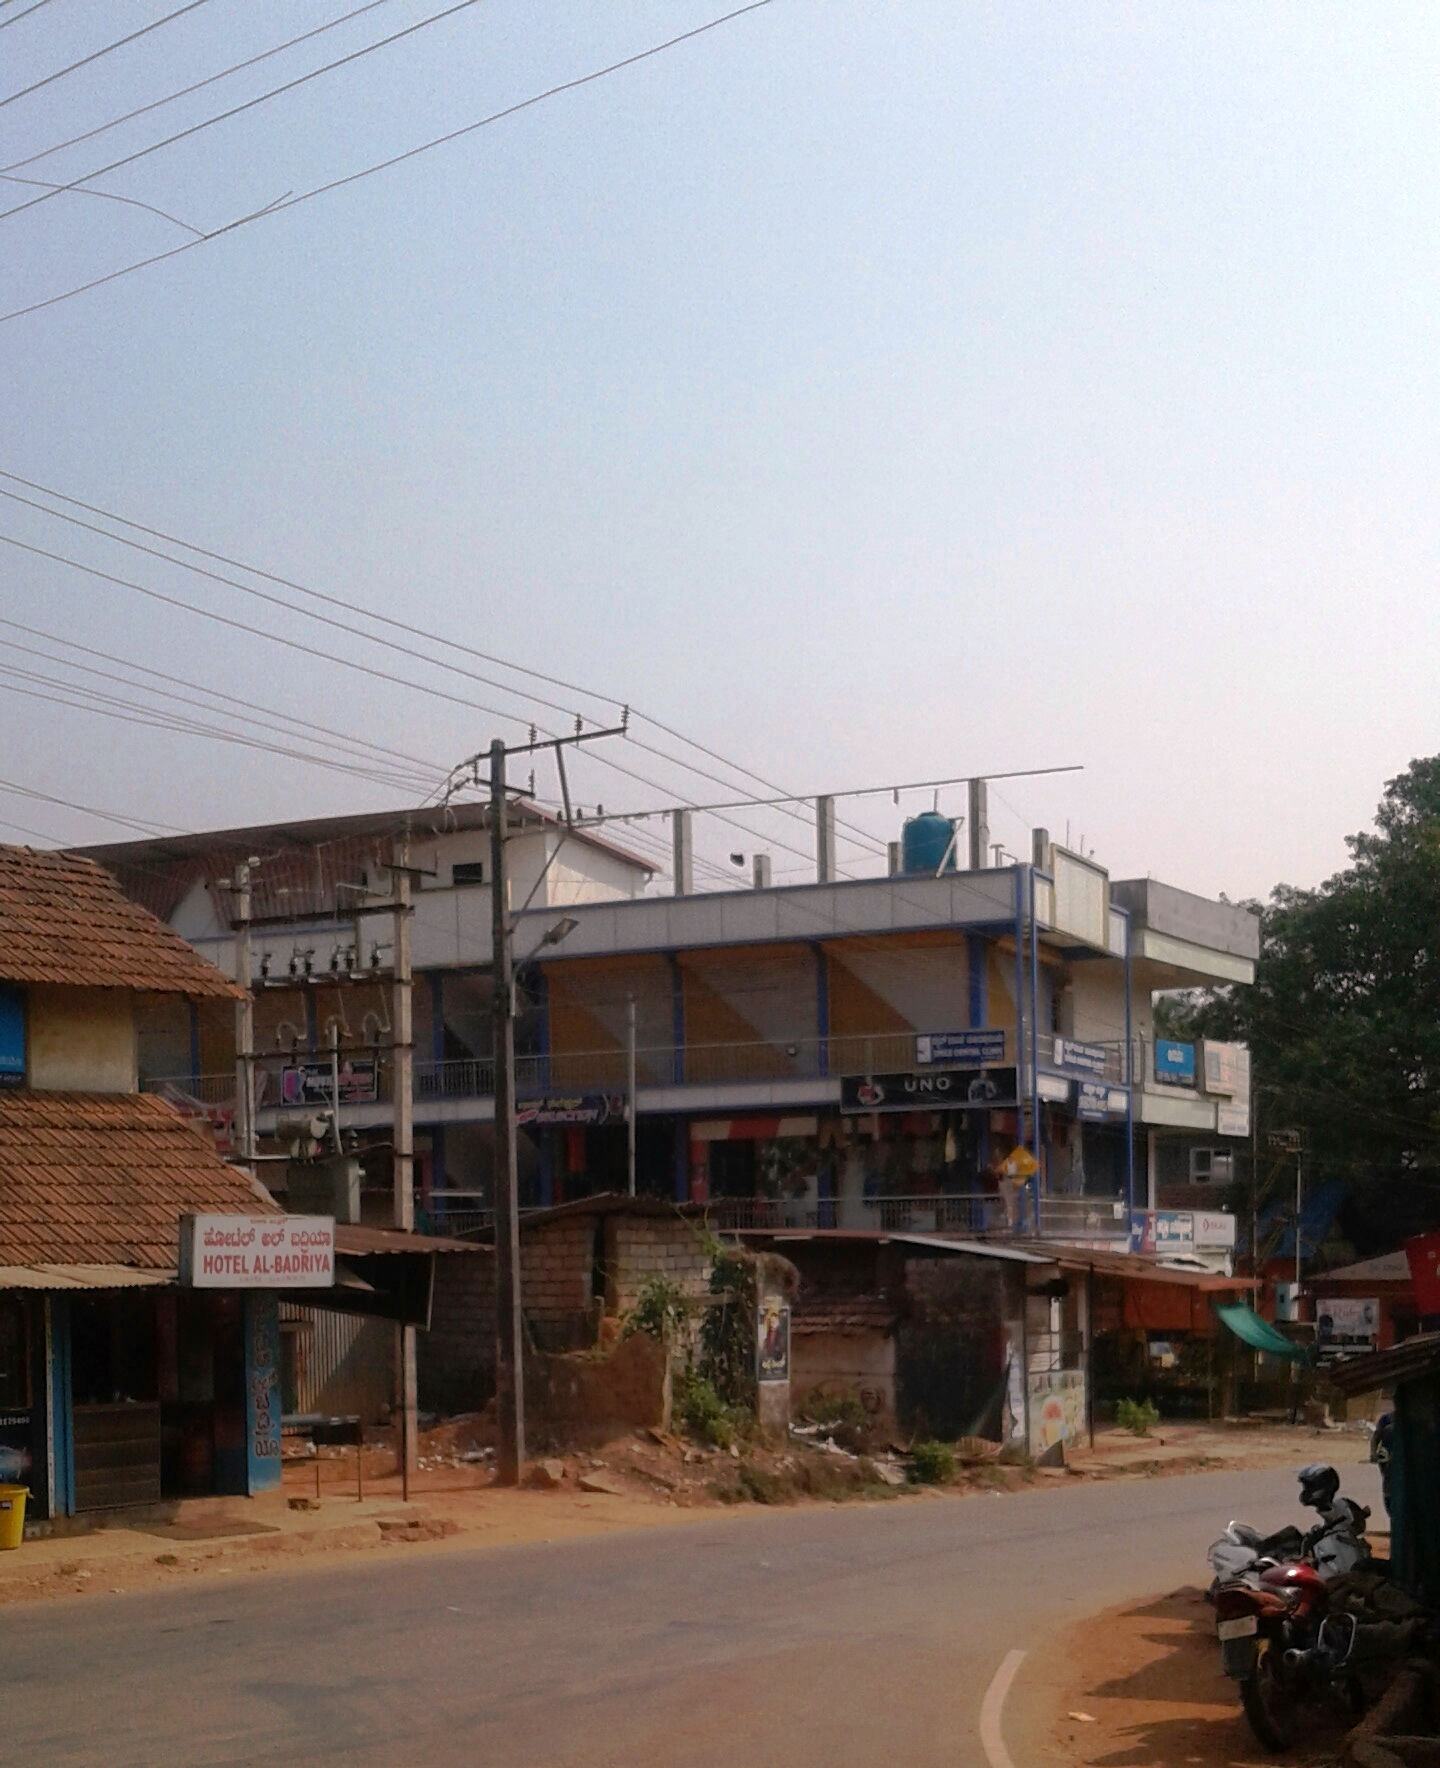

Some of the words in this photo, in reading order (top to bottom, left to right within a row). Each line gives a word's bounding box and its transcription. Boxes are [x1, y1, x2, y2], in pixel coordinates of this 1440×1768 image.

[198, 1218, 263, 1250] ಹೋಟೆಲ್
[259, 1228, 289, 1250] ಅಲ್
[288, 1221, 337, 1256] ಬದ್ರಿಯಾ
[200, 1247, 254, 1279] HOTEL
[248, 1250, 336, 1276] AL-BADRIYA